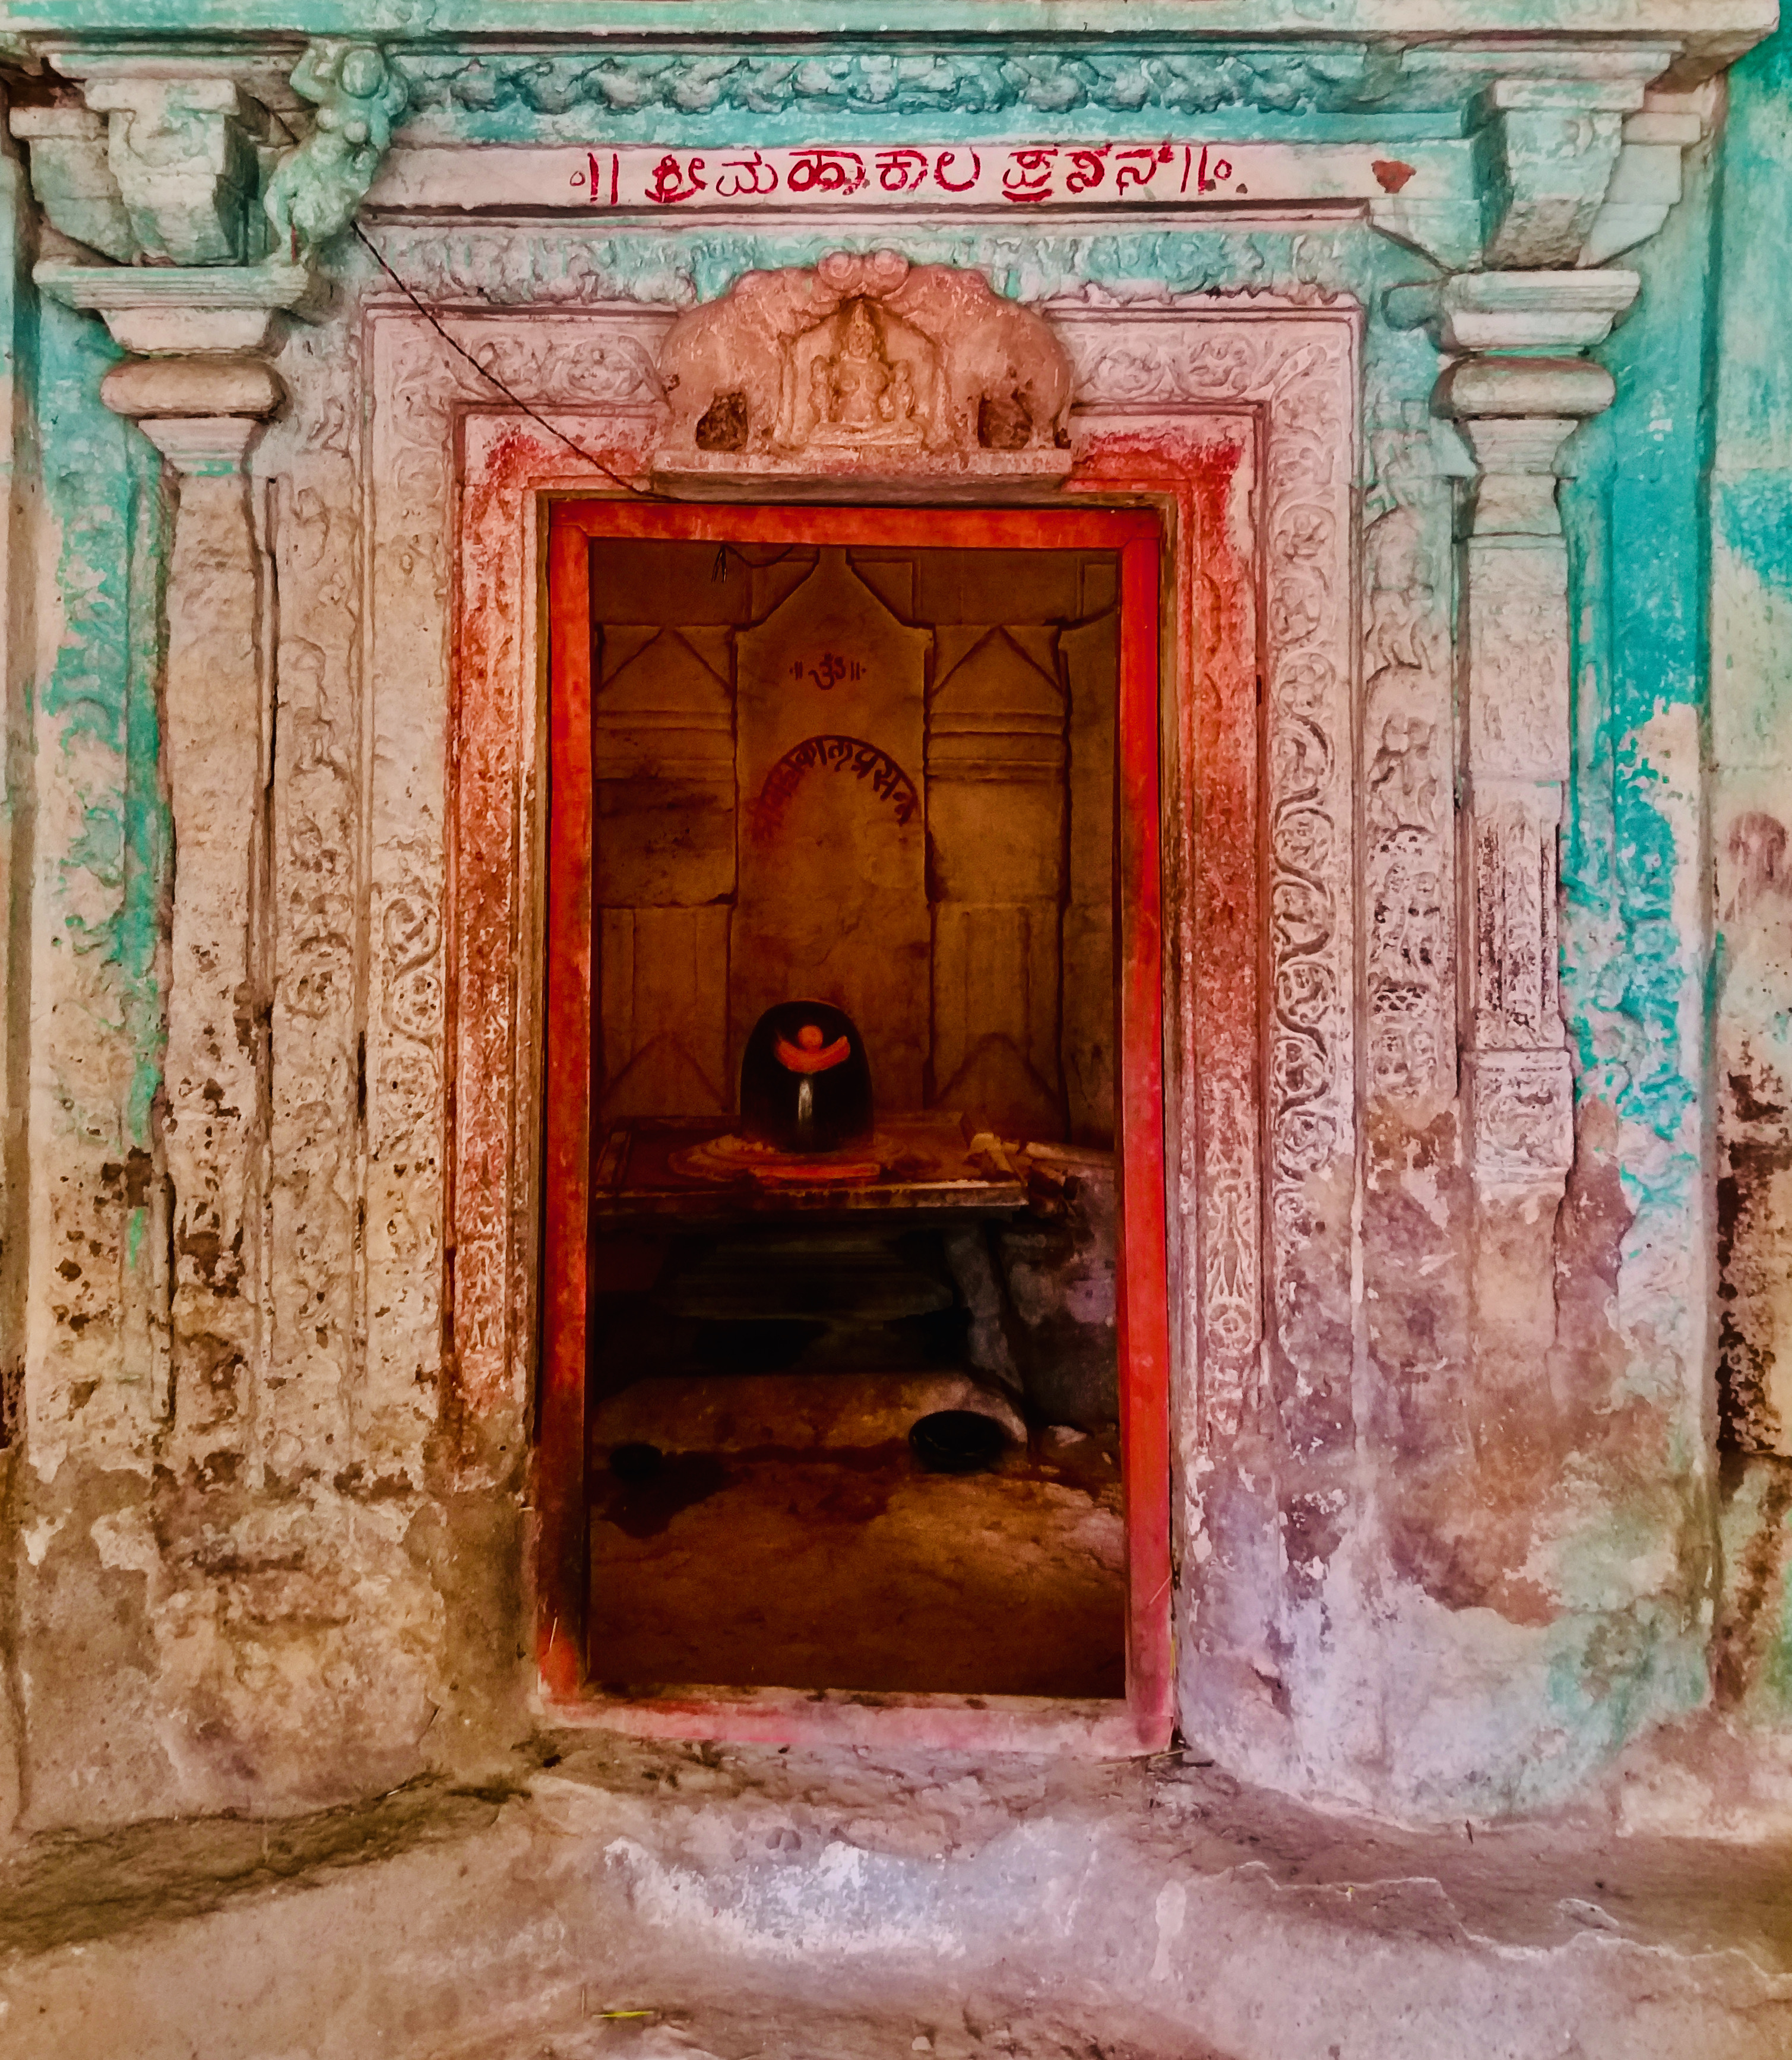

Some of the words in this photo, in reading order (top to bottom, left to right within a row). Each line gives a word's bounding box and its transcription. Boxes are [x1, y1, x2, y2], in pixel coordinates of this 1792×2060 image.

[635, 140, 986, 216] ಆಮಹಾಕಾಲ
[741, 727, 925, 847] श्रीमहाकालप्रसन्न